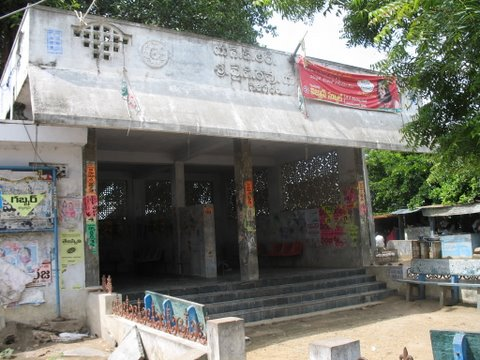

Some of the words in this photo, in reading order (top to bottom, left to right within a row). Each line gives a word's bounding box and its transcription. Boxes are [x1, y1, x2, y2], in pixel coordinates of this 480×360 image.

[6, 185, 41, 208] గబ్సర్